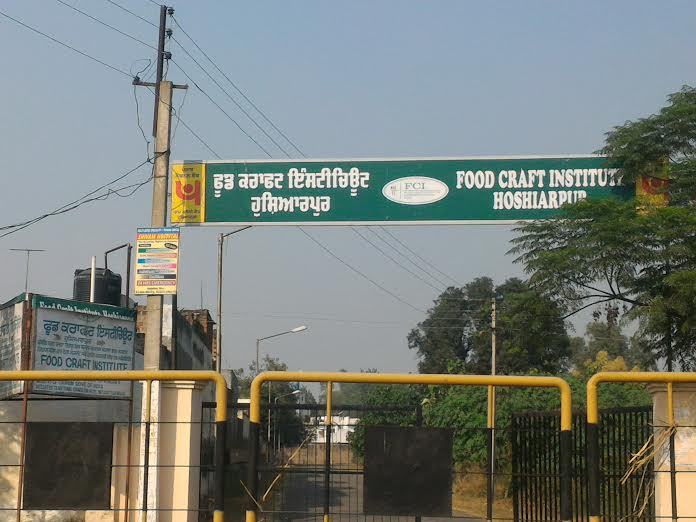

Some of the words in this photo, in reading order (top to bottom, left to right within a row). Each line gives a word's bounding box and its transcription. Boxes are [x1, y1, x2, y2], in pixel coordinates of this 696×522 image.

[210, 169, 235, 200] ਫੂਡ
[235, 167, 286, 193] ਕਰਾਫਟ
[285, 164, 375, 199] ਇੰਸਟੀਚਿਊਟ
[451, 166, 497, 191] FOOD
[496, 165, 547, 189] CRAFT
[547, 163, 630, 188] INSTITUTE
[245, 189, 337, 220] ਹੁਸਿਆਰਪੁਰ
[487, 188, 591, 213] HOSHIARPUR
[39, 317, 60, 337] ਫੂਡ
[59, 315, 96, 339] ਕਰਾਫਟ
[95, 320, 135, 347] ਇੰਸਟੀਚਿਊਟ
[37, 353, 65, 370] FOOD
[63, 355, 93, 372] CRAFT